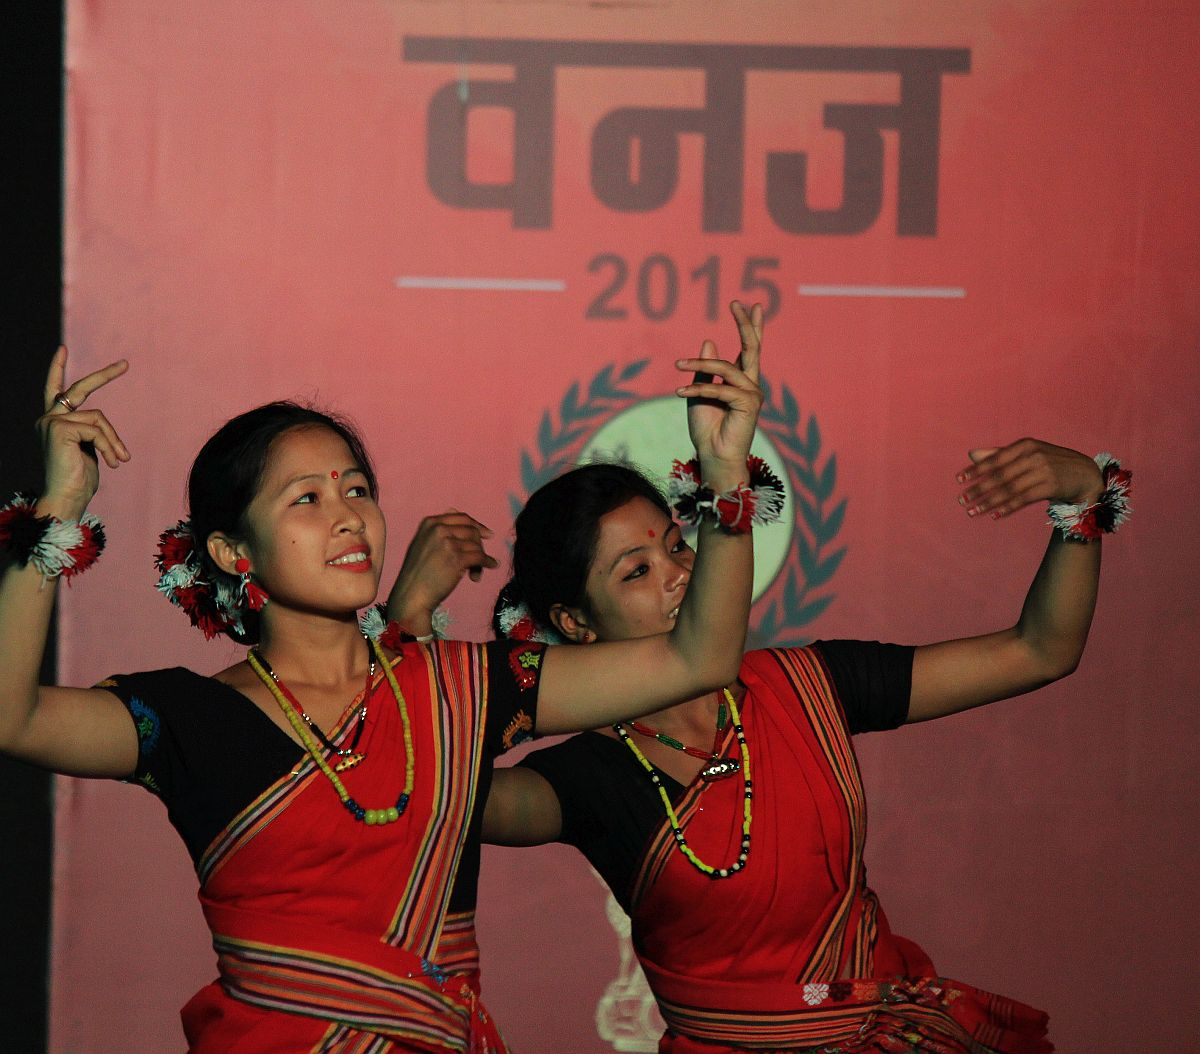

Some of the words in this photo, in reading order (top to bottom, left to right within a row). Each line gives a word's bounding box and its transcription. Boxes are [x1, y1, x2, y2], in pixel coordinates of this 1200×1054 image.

[398, 26, 978, 252] वनज
[580, 252, 792, 330] 2015